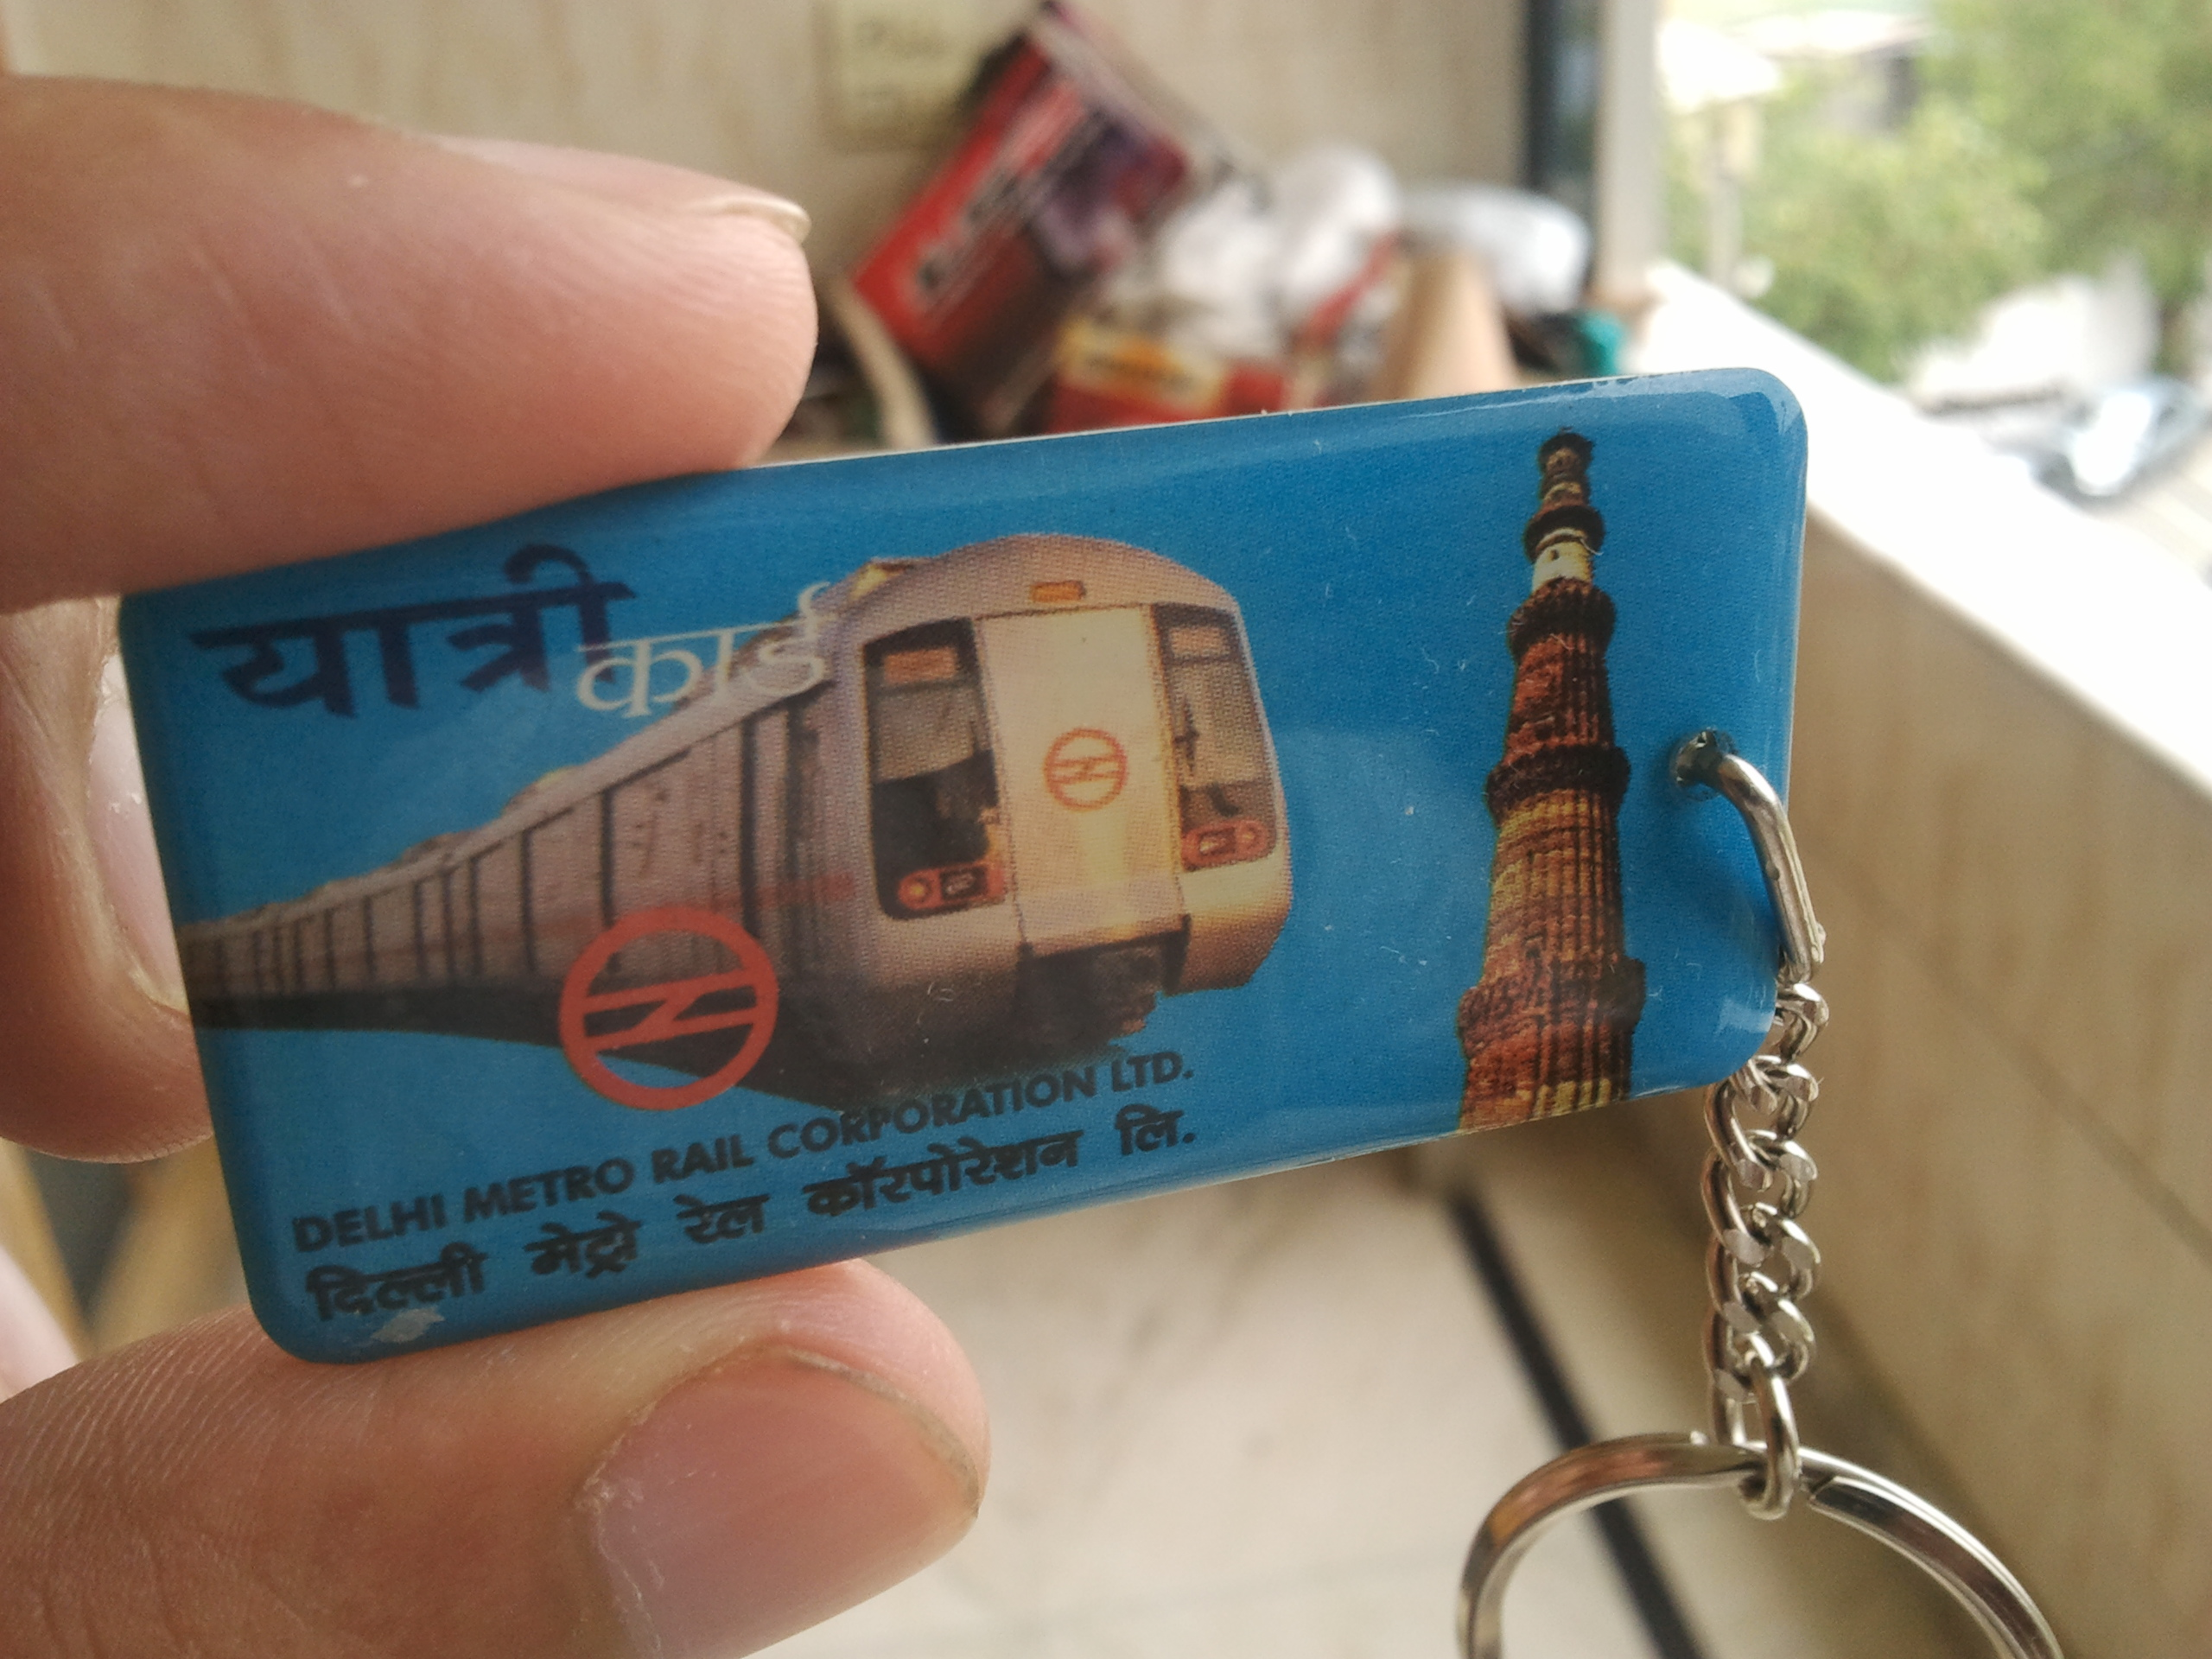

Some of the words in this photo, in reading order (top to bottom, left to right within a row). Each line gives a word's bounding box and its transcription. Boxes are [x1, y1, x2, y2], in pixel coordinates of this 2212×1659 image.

[189, 537, 641, 727] या‌त्री
[571, 575, 837, 725] कार्ड
[1109, 1046, 1199, 1100] LTD.
[289, 1188, 452, 1257] DELHI
[300, 1235, 495, 1330] दिल्ली
[461, 1152, 638, 1228] METRO
[519, 1204, 649, 1285] मेट्रो
[643, 1126, 763, 1189] RAIL
[664, 1190, 774, 1253] रेल
[764, 1062, 1101, 1169] CORPORATION
[799, 1126, 1088, 1226] कॉरपोरेशन
[1110, 1098, 1202, 1160] लि.